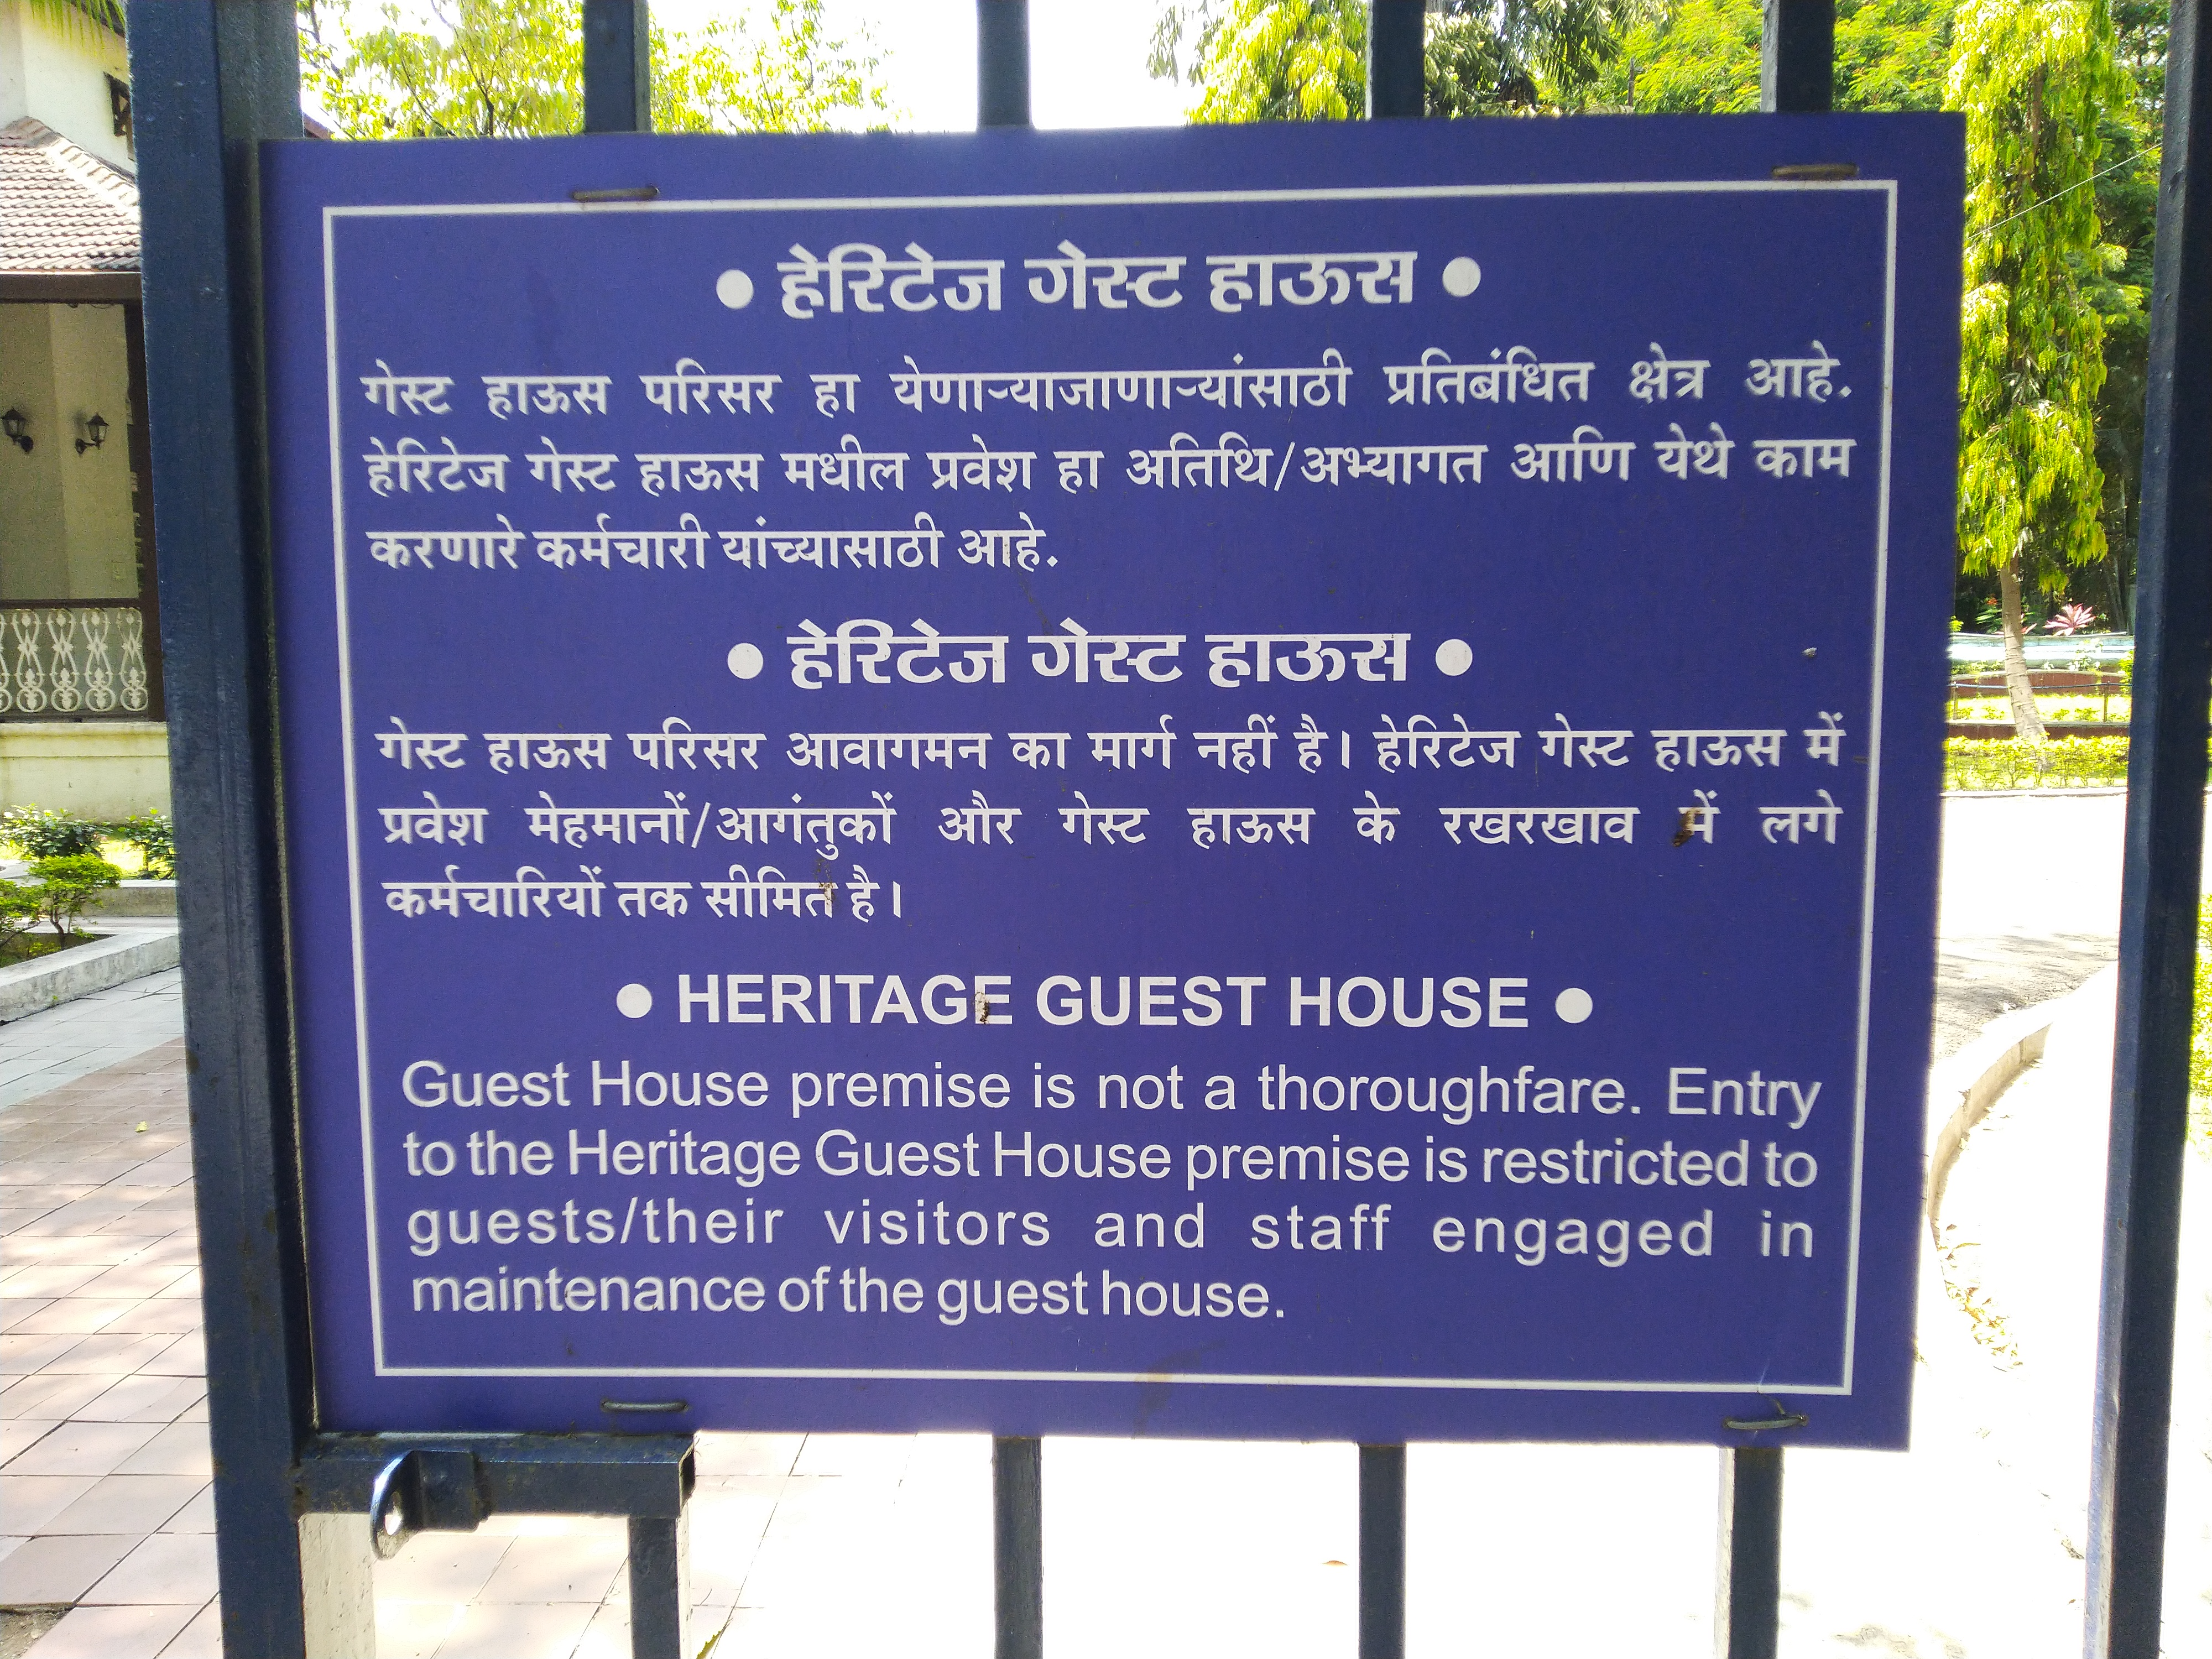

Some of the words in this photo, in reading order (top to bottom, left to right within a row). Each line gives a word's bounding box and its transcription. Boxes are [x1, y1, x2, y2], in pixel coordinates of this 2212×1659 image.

[768, 237, 1015, 328] हेरिटेज
[1015, 231, 1198, 322] गेस्ट
[1201, 243, 1432, 325] हाऊस
[354, 351, 462, 425] गेस्टळ
[477, 366, 617, 430] हाऊस
[633, 358, 782, 417] परिसर
[803, 362, 864, 424] हा
[879, 344, 1358, 421] येणाऱ्याजाणाऱ्यांसाठी
[1374, 338, 1604, 423] प्रतिबंधित
[1621, 343, 1713, 408] क्षेत्र
[1732, 333, 1859, 410] आहे.
[361, 431, 514, 504] हेरिटेज
[519, 432, 624, 504] गेस्ट
[627, 448, 768, 501] हाऊस
[774, 430, 914, 498] मधील
[919, 429, 1042, 499] प्रवेश
[1048, 441, 1107, 499] हा
[1119, 425, 1301, 499] अतिथि/
[1295, 431, 1496, 501] अभ्यागत
[1503, 426, 1637, 487] आणि
[1644, 417, 1737, 492] येथे
[1746, 429, 1866, 495] काम
[357, 507, 529, 577] करणारे
[529, 504, 714, 578] कर्मचारी
[715, 507, 951, 581] यांच्यासाठी
[952, 503, 1067, 579] आहे.
[779, 606, 1021, 702] हेरिटेज
[1020, 614, 1195, 700] गेस्ट
[1197, 624, 1417, 705] हाऊस
[368, 711, 477, 783] गेस्ट
[475, 723, 620, 781] हाऊस
[623, 713, 775, 781] परिसर
[781, 723, 999, 777] आवागमन
[998, 722, 1078, 782] का
[1083, 707, 1180, 778] मार्ग
[1188, 709, 1288, 780] नहीं
[1286, 706, 1357, 783] है।
[1363, 706, 1525, 792] हेरिटेज
[1531, 708, 1641, 777] गेस्ट
[1646, 721, 1793, 785] हाऊस
[1798, 696, 1853, 775] में
[370, 787, 494, 857] प्रवेश
[515, 782, 721, 858] मेहमानों/
[708, 784, 903, 865] आगंतुकों
[931, 781, 1029, 857] और
[1051, 785, 1166, 854] गेस्ट
[1176, 790, 1324, 859] हाऊस
[1348, 782, 1410, 853] के
[1431, 799, 1645, 863] रखरखाव
[1663, 784, 1729, 858] में
[1744, 785, 1848, 856] लगे
[368, 852, 615, 935] कर्मचारियों
[609, 866, 700, 930] तक
[696, 856, 846, 927] सीमित
[844, 859, 914, 935] है।
[673, 967, 1020, 1032] HERITAGE
[1032, 963, 1275, 1042] GUEST
[1287, 967, 1538, 1045] HOUSE
[393, 1053, 579, 1119] Guest
[584, 1051, 779, 1124] House
[780, 1056, 1016, 1124] premise
[1022, 1053, 1080, 1119] is
[1092, 1058, 1191, 1123] not
[1199, 1070, 1243, 1121] a
[1250, 1055, 1647, 1131] thoroughfare.
[1660, 1057, 1828, 1141] Entry
[395, 1125, 458, 1188] to
[460, 1123, 561, 1186] the
[562, 1123, 808, 1192] Heritage
[806, 1119, 989, 1189] Guest
[989, 1122, 1177, 1191] House
[1181, 1128, 1417, 1195] premise
[1420, 1124, 1473, 1189] is
[1478, 1130, 1753, 1196] restricted
[1758, 1136, 1820, 1194] to
[390, 1191, 641, 1263] guests/
[638, 1187, 793, 1265] their
[812, 1187, 1064, 1264] visitors
[1083, 1196, 1224, 1265] and
[1244, 1197, 1396, 1260] staff
[1425, 1197, 1720, 1280] engaged
[1752, 1203, 1822, 1265] in
[403, 1259, 773, 1329] maintenance
[771, 1257, 834, 1322] of
[832, 1262, 930, 1323] the
[932, 1263, 1094, 1339] guest
[1095, 1265, 1291, 1339] house.